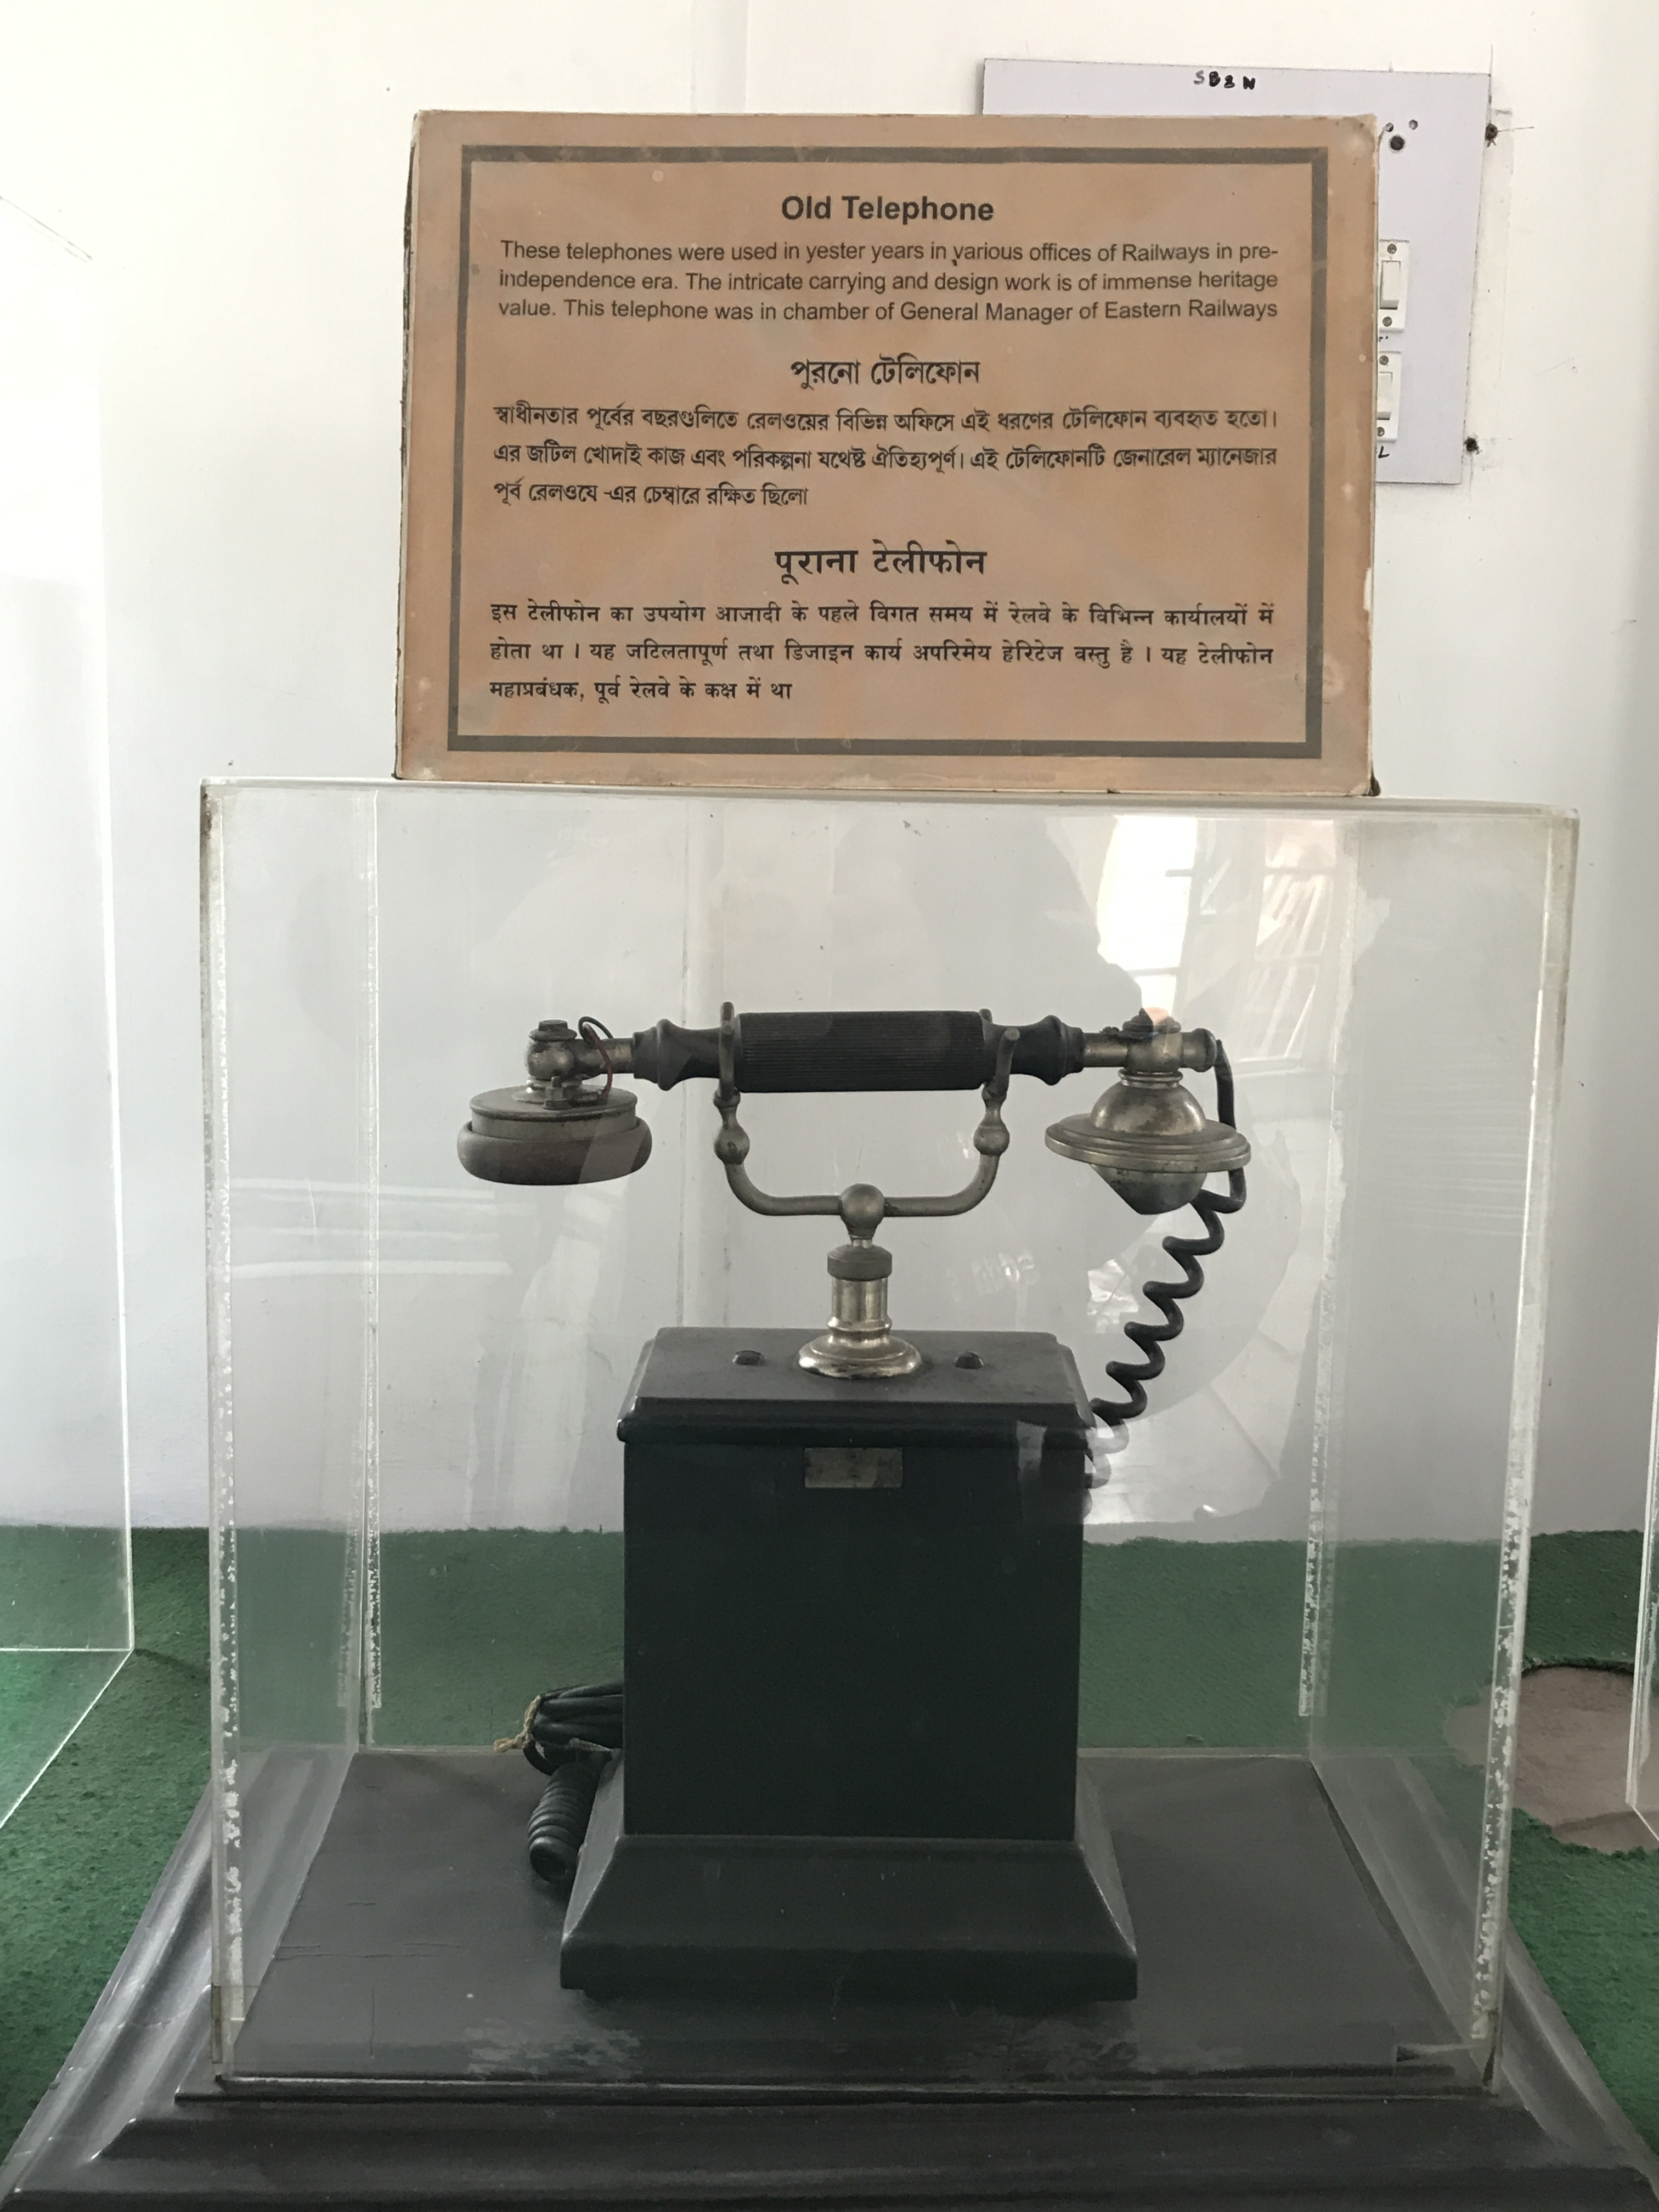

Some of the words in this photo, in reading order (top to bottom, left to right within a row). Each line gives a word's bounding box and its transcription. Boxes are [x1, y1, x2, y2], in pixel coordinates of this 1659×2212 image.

[773, 184, 837, 222] Old
[842, 188, 999, 227] Telephone
[492, 230, 566, 261] These
[558, 234, 678, 266] telephones
[673, 240, 726, 267] were
[726, 237, 781, 267] used
[780, 238, 808, 263] 101
[796, 236, 869, 269] yester
[867, 238, 930, 267] years
[922, 236, 951, 264] in
[949, 235, 1031, 266] various
[1022, 238, 1094, 270] offices
[1093, 242, 1118, 266] of
[1118, 239, 1212, 268] Railways
[1212, 235, 1238, 273] in
[1232, 238, 1282, 267] pre-
[496, 260, 639, 292] independence
[634, 268, 678, 296] era.
[682, 265, 729, 296] The
[724, 269, 805, 295] intricate
[804, 264, 892, 302] carrying
[888, 267, 934, 294] and
[932, 269, 1002, 297] design
[998, 270, 1054, 300] work
[1056, 272, 1079, 298] is
[1075, 269, 1103, 291] of
[1102, 269, 1195, 294] immense
[1197, 267, 1281, 297] heritage
[490, 295, 558, 320] value.
[560, 291, 613, 319] This
[608, 292, 715, 326] telephone
[710, 300, 756, 325] was
[754, 298, 782, 324] in
[779, 297, 873, 326] chamber
[871, 297, 902, 323] of
[896, 289, 983, 328] General
[981, 301, 1079, 329] Manager
[1075, 298, 1102, 326] of
[1104, 294, 1187, 325] Eastern
[1187, 296, 1287, 325] Railways
[786, 350, 865, 396] পুরনো
[866, 345, 988, 394] টেলিফোন
[489, 393, 584, 432] স্বাধীনতার
[582, 395, 642, 437] পূর্বের
[639, 403, 745, 432] বছরগুলিতে
[743, 408, 839, 435] রেলওয়ের
[830, 403, 892, 437] বিভিন্ন
[883, 404, 962, 436] অফিসে
[956, 407, 995, 436] এই
[994, 407, 1057, 436] ধরণের
[1057, 400, 1150, 432] টেলিফোন
[1149, 405, 1221, 436] ব্যবহৃত
[1218, 405, 1283, 432] হতো৷
[486, 432, 582, 466] এরজটিল
[584, 439, 645, 471] খোদাই
[637, 442, 689, 467] কাজ
[679, 438, 732, 472] এবং
[726, 436, 822, 470] পরিকল্পনা
[816, 442, 873, 474] যথেষ্ট
[866, 438, 962, 475] ঐতিহ্যপূর্ণ
[964, 443, 1004, 476] এই
[998, 437, 1113, 476] টেলিফোনটি
[1107, 442, 1198, 474] জেনারেল
[1189, 442, 1281, 472] ম্যানেজার
[489, 471, 527, 514] পূর্ব
[521, 480, 603, 507] রেলওযে
[600, 480, 648, 508] এর
[638, 479, 704, 513] চেম্বারে
[704, 477, 764, 510] রক্ষিত
[757, 477, 815, 512] ছিলো
[770, 546, 864, 590] पूराना
[866, 534, 991, 582] टेलीफोन
[482, 600, 522, 627] इस
[521, 592, 605, 624] टेलीफोन
[607, 601, 648, 634] का
[640, 593, 709, 628] उपयोग
[708, 596, 786, 629] आजादी
[785, 592, 811, 626] के
[812, 598, 868, 627] पहले
[866, 593, 923, 628] विगत
[924, 603, 975, 626] समय
[974, 588, 1001, 629] में
[1004, 595, 1055, 625] रेलवे
[1056, 597, 1082, 627] के
[1075, 594, 1157, 628] विभिन्न
[1160, 598, 1254, 636] कार्यालयों
[1254, 595, 1284, 631] में
[482, 627, 536, 668] होता
[530, 637, 572, 665] था
[585, 638, 622, 665] यह
[617, 632, 732, 669] जटिलतापूर्ण
[735, 641, 776, 665] तथा
[773, 632, 864, 665] डिजाइन
[857, 636, 907, 668] कार्य
[907, 631, 995, 671] अपरिमेय
[998, 634, 1068, 668] हेरिटेज
[1063, 637, 1119, 679] वस्तु
[1108, 632, 1139, 670] है
[1150, 640, 1193, 670] यह
[1190, 641, 1282, 668] टेलीफोन
[484, 673, 583, 704] महाप्रबंधक
[589, 672, 627, 712] पूर्व
[623, 672, 680, 702] रेलवे
[669, 665, 703, 703] के
[698, 676, 744, 704] कक्ष
[732, 669, 766, 704] में
[763, 676, 805, 703] था